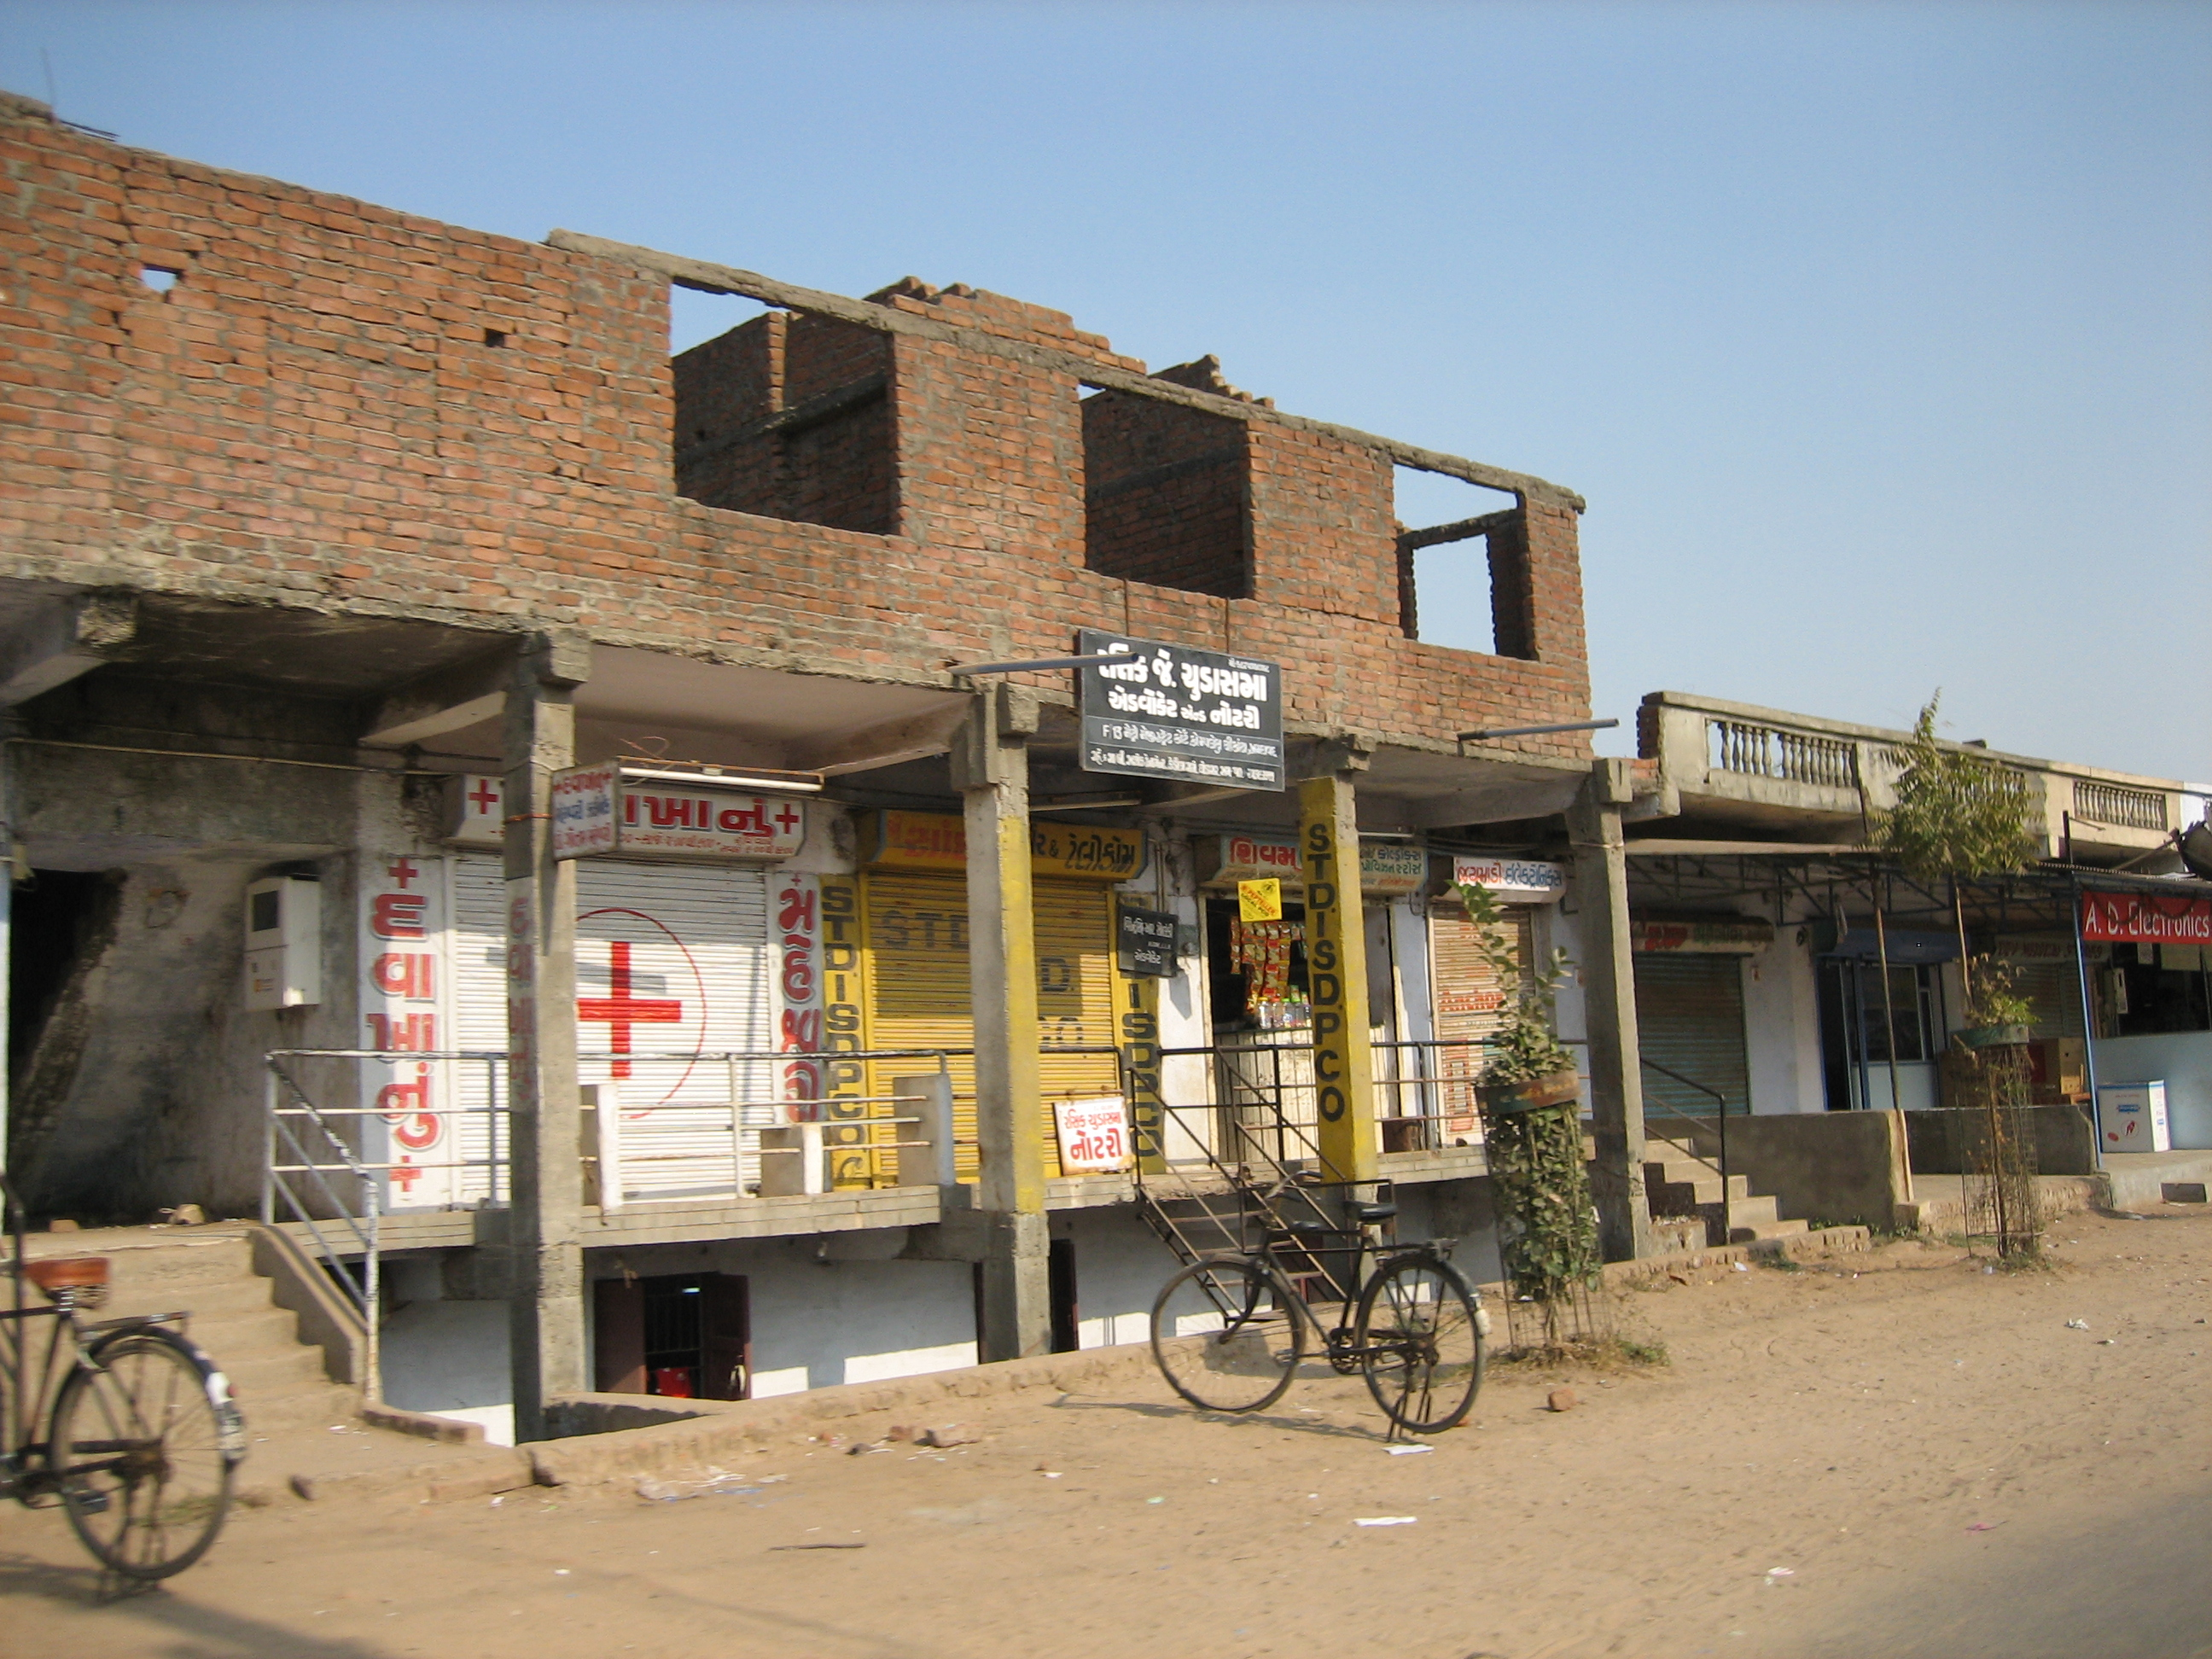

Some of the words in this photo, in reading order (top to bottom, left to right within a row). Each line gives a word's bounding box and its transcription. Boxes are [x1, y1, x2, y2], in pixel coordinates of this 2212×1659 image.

[1197, 667, 1255, 688] ડાસર
[379, 935, 435, 1206] વાખાનું